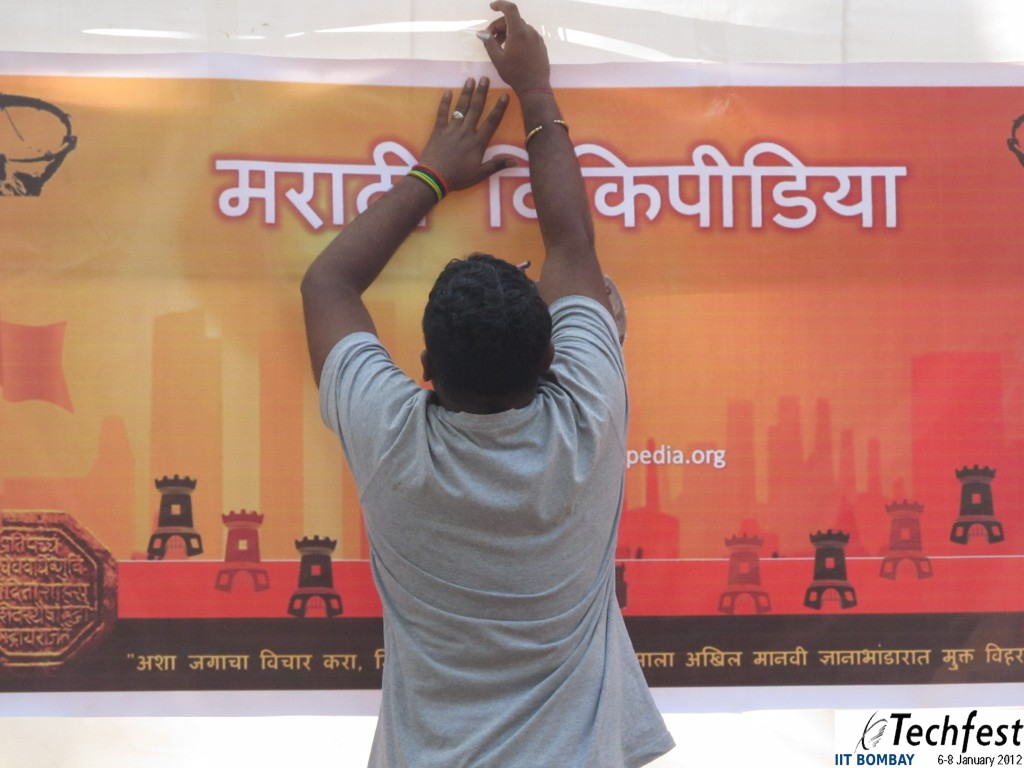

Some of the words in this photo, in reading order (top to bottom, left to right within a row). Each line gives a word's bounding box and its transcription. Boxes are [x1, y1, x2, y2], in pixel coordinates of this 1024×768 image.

[209, 132, 433, 235] मरा
[470, 133, 907, 233] किपीडिया
[620, 433, 731, 473] pedia.org
[126, 643, 181, 677] अशा
[184, 648, 254, 676] जगाचा
[254, 643, 316, 673] विचार
[321, 648, 365, 678] कराः
[633, 647, 677, 674] माला
[682, 639, 747, 672] अखिल
[752, 640, 812, 673] मानवी
[816, 638, 935, 671] ज्ञानाभांडारात
[939, 645, 977, 676] मुक्त
[979, 636, 1023, 668] विहर
[887, 704, 1024, 758] Techfest
[829, 752, 857, 768] IIT
[853, 748, 918, 768] BOMBAY
[933, 748, 998, 767] 6-8January
[994, 750, 1024, 767] 2012